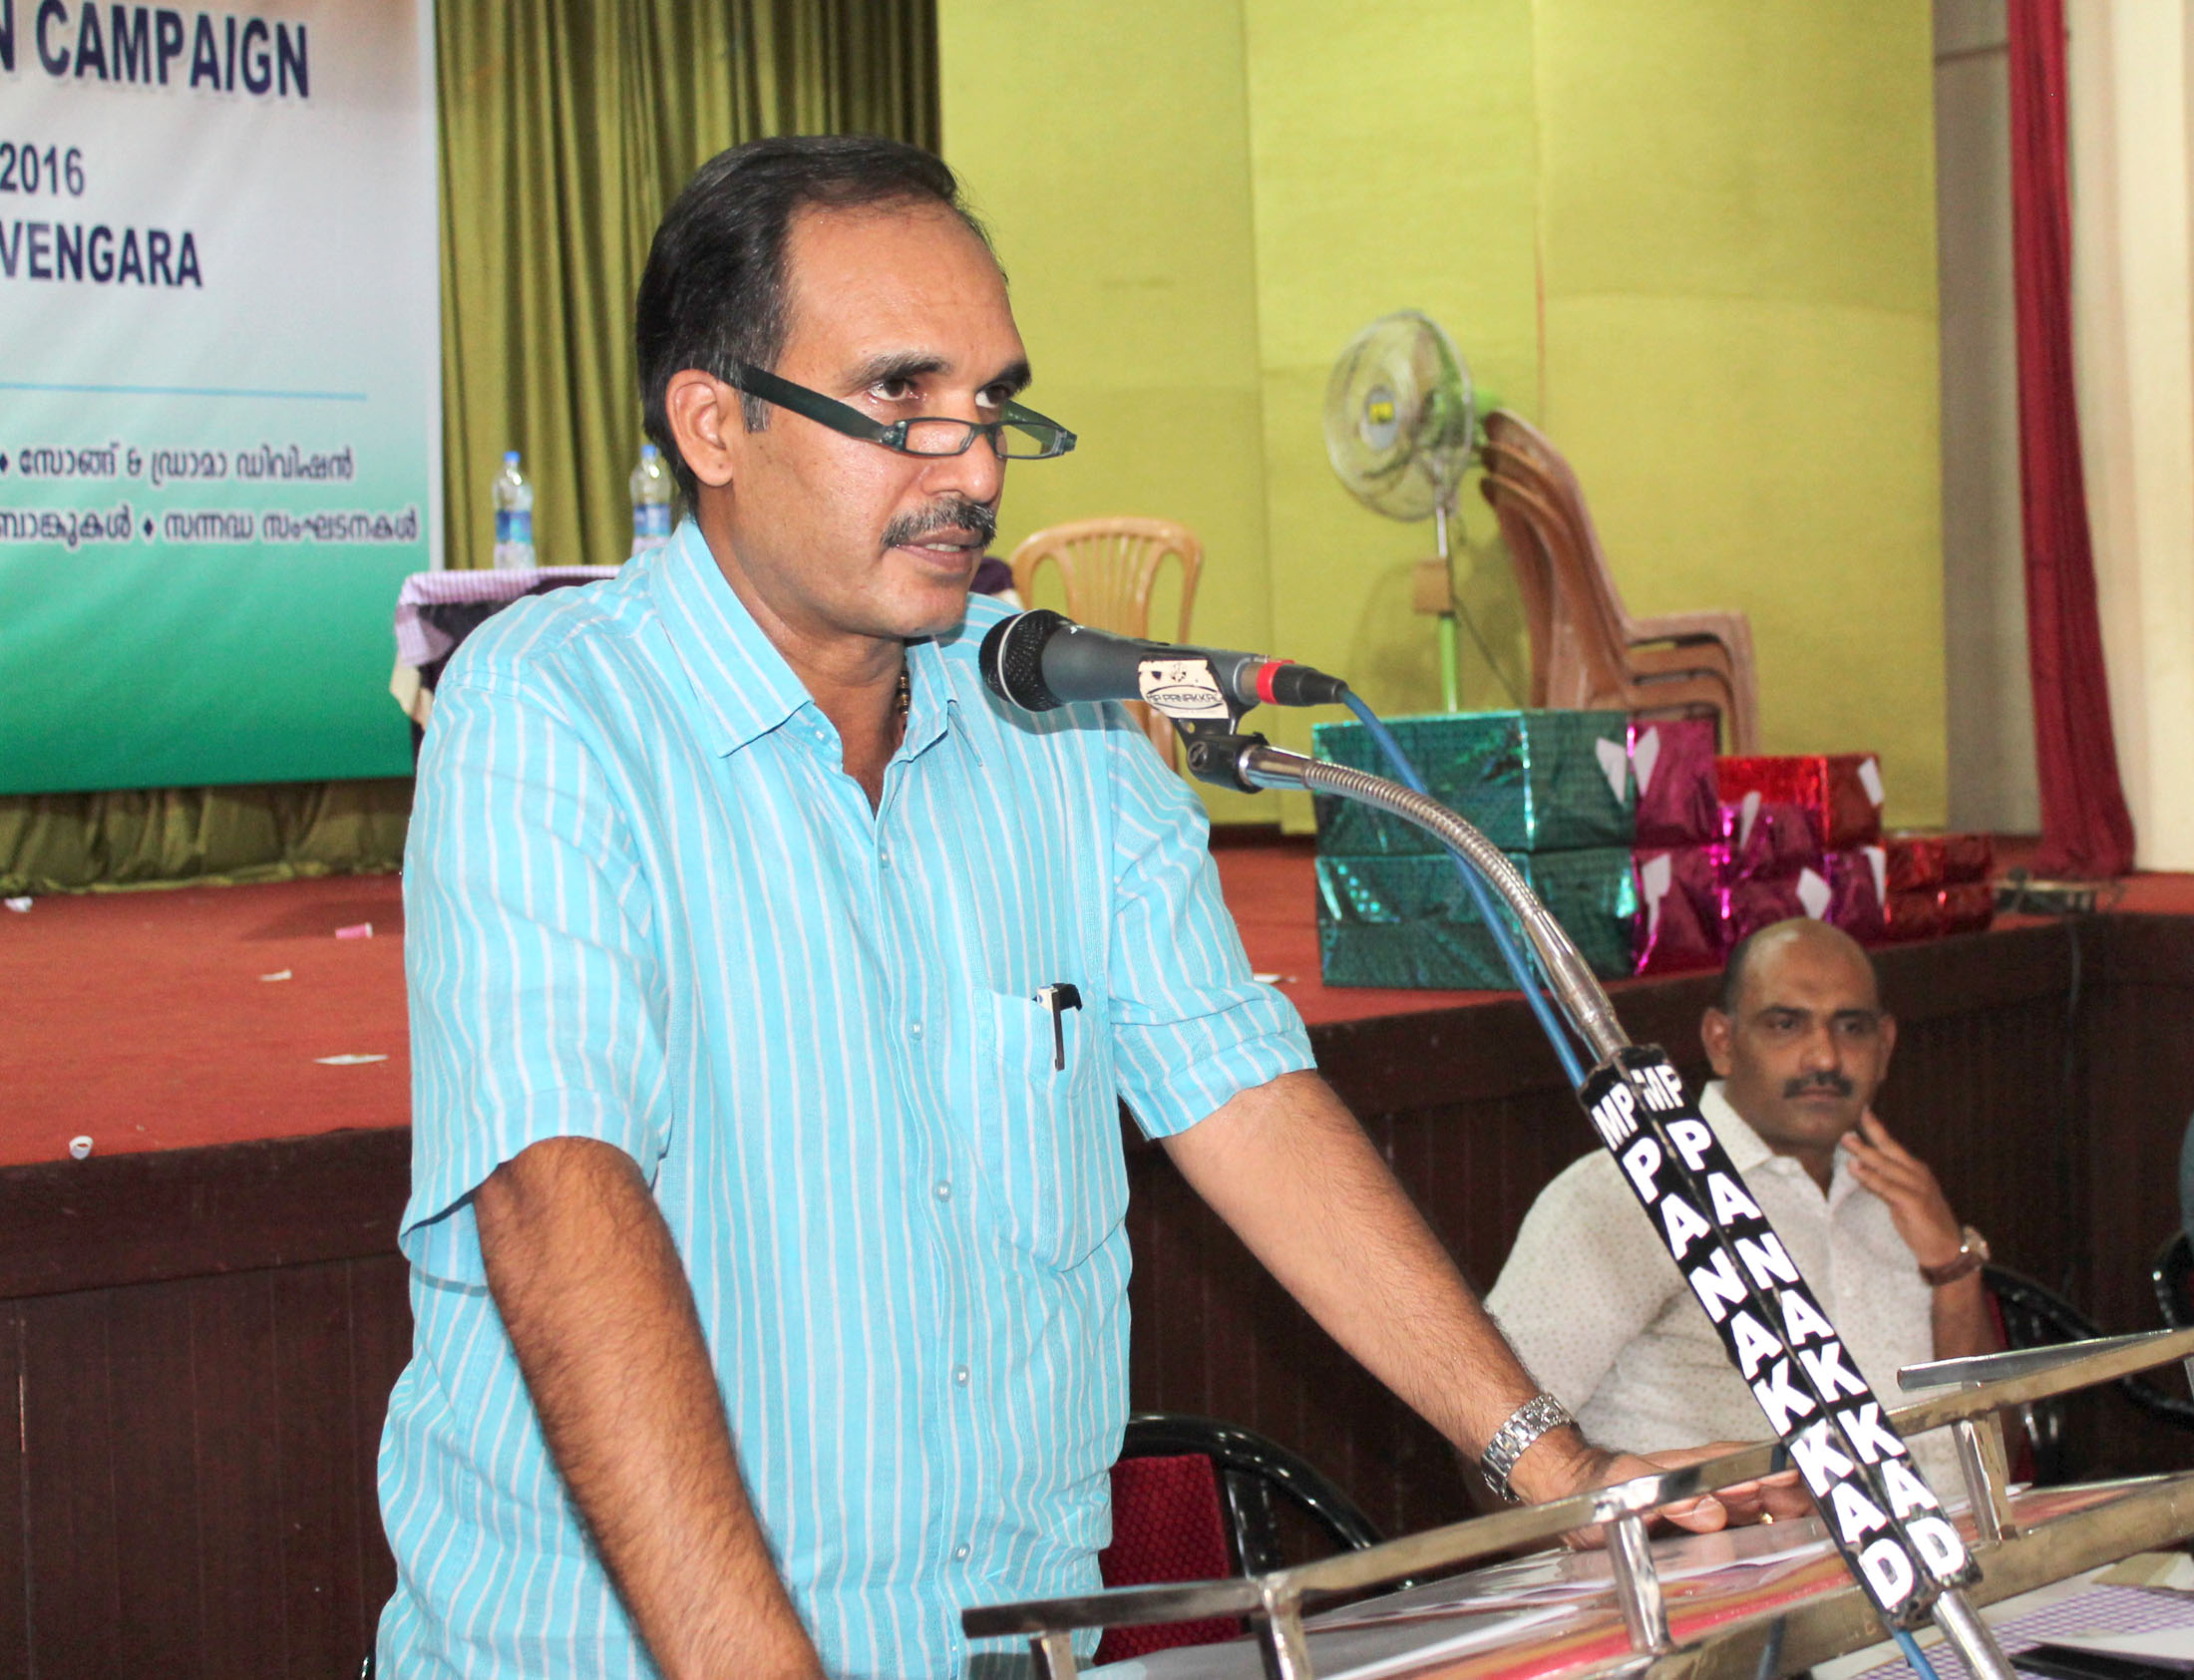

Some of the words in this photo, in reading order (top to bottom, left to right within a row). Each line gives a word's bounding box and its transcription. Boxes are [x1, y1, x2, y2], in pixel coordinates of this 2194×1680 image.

[28, 0, 314, 105] CAMPAIGN
[0, 133, 98, 200] 2016
[2, 216, 207, 294] VENGARA
[15, 439, 122, 482] സോങ്ങ്
[119, 444, 151, 480] &
[144, 448, 230, 488] ഡ്രാമാ
[227, 439, 358, 484] ഡിവിഷൻ
[1, 500, 137, 549] വാങ്കുകൾ
[157, 506, 256, 545] സന്നഡ
[258, 504, 421, 547] സംഘടനകൾ
[1570, 1047, 1977, 1625] MP PANAKKAD MP PANAKKAD